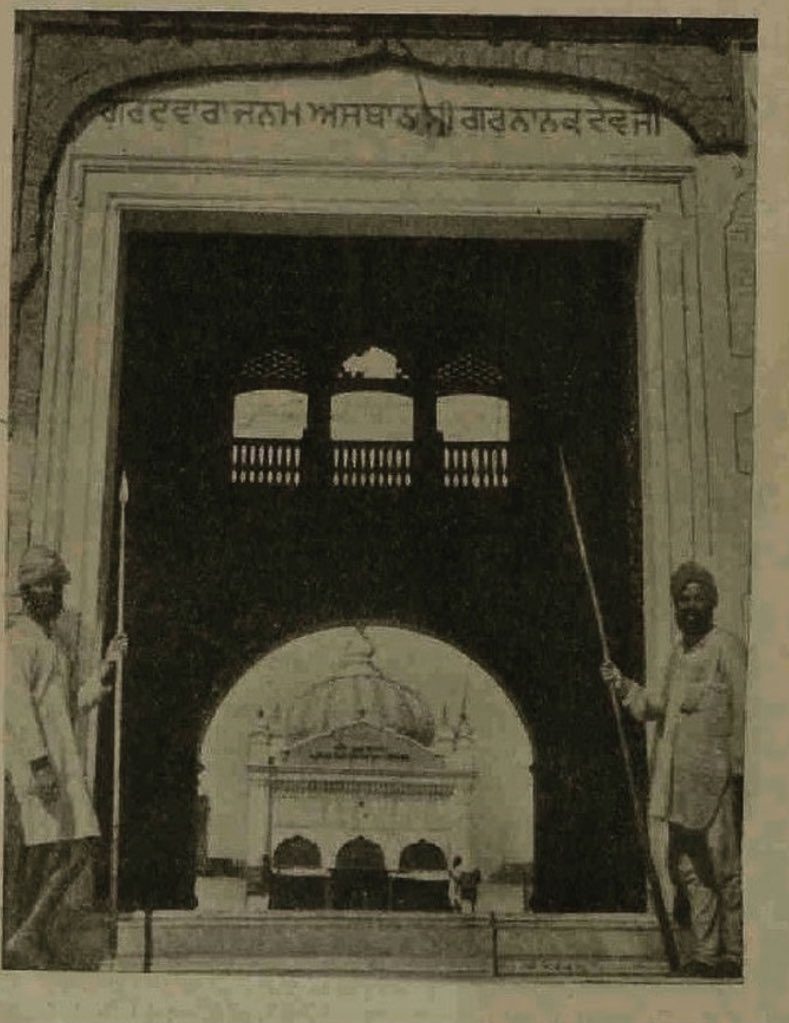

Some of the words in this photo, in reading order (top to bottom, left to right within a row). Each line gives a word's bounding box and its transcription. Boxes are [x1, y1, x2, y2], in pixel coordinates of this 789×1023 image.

[95, 91, 229, 135] ਗੁਰਦੁਵਾਰਾ
[228, 89, 304, 135] ਜਨਮ
[302, 92, 458, 137] ਅਸਥਾਨਸੀ
[455, 95, 509, 140] ਗਰ
[507, 98, 585, 139] ਨਾਨਕ
[582, 93, 633, 139] ਦੇਵ
[630, 97, 666, 141] ਜੀ